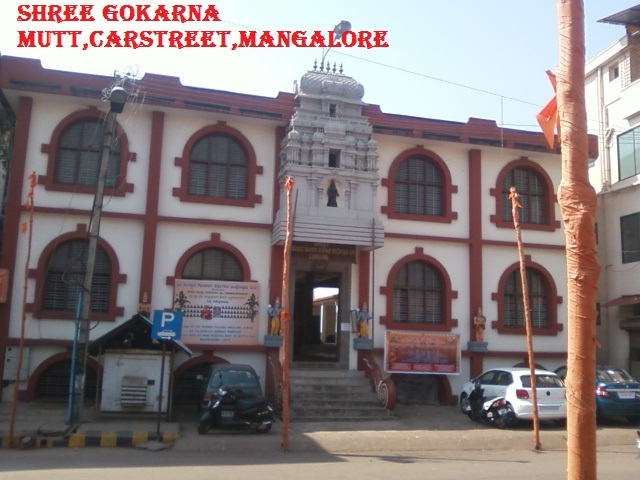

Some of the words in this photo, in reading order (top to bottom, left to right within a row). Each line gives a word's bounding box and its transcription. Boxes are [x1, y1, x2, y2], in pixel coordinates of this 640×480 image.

[13, 0, 96, 29] SHREE
[99, 0, 226, 26] GOKARNA
[10, 27, 81, 49] MUTT
[83, 25, 234, 53] CARSTREET
[236, 26, 392, 53] MANGALORE